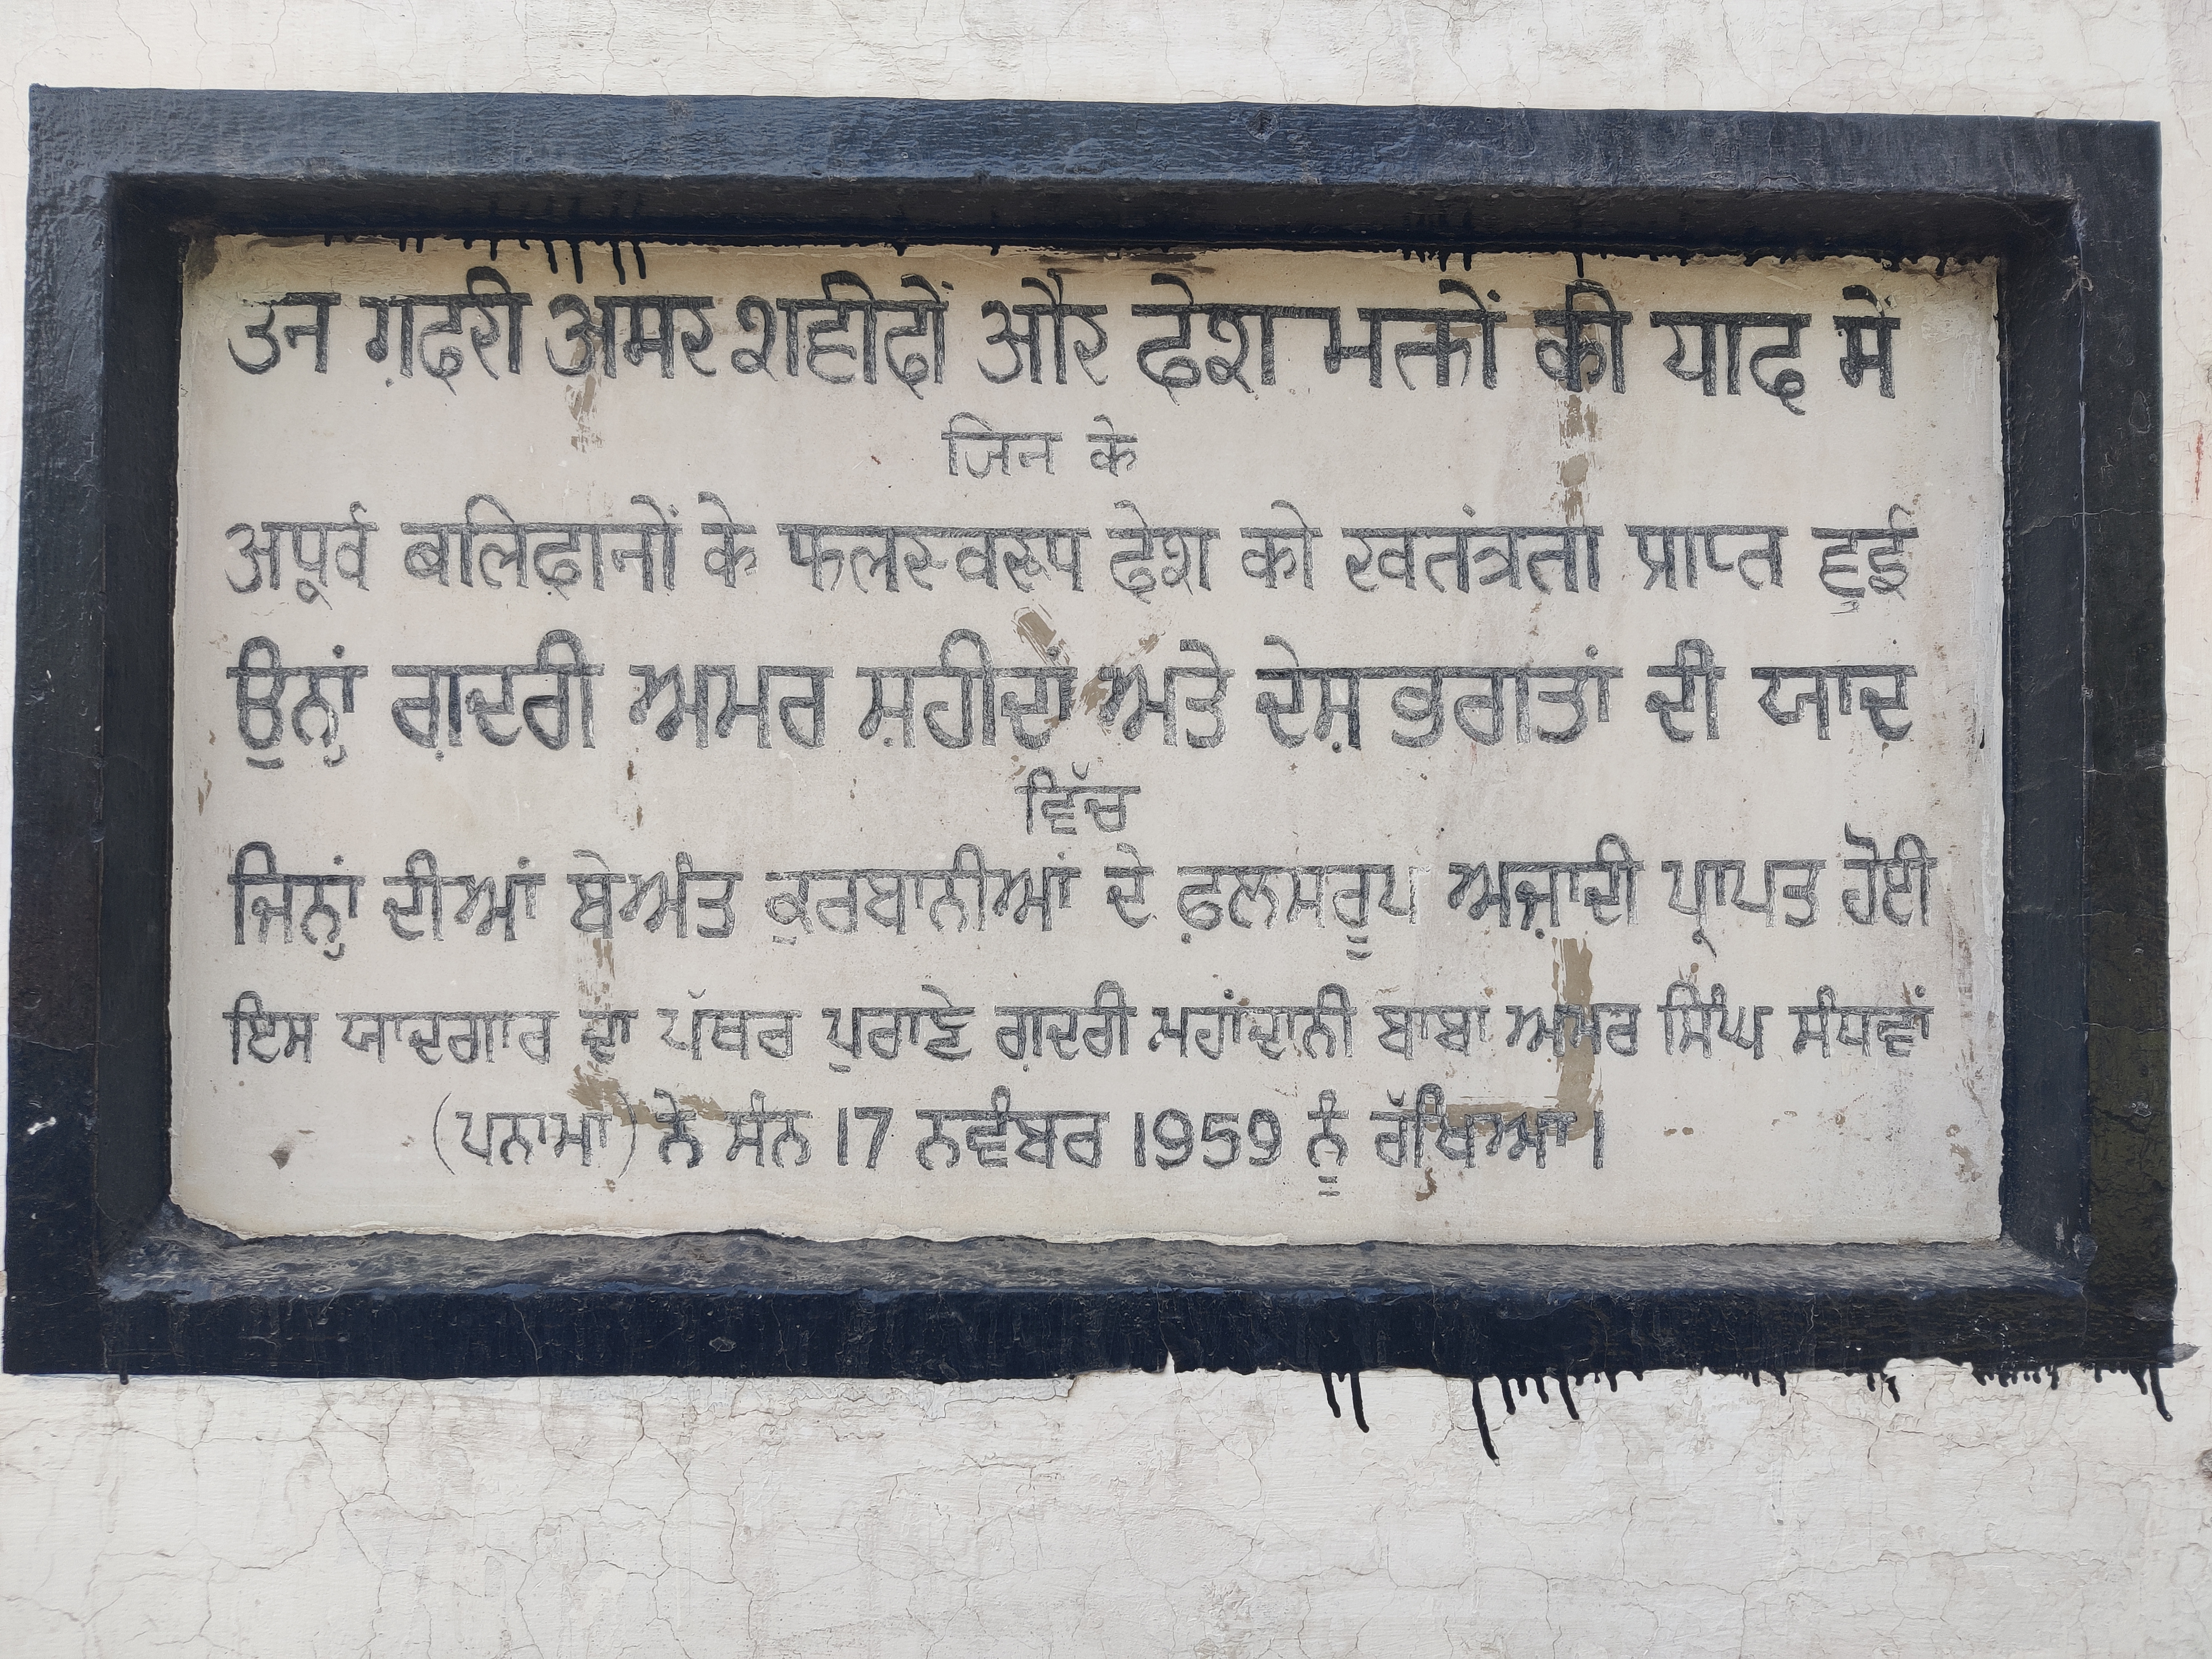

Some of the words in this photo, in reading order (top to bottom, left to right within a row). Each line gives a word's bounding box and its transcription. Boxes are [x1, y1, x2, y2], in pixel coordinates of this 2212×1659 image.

[197, 280, 348, 393] उन
[354, 262, 536, 403] गदरी
[538, 285, 721, 393] अमर
[721, 262, 962, 404] शहीदों
[965, 263, 1121, 401] और
[1123, 263, 1515, 425] देशभक्तों
[1526, 269, 1641, 415] की
[1642, 303, 1819, 427] याद
[1823, 278, 1906, 415] ਸੇਂ
[935, 405, 1067, 488] जिन
[1077, 409, 1147, 486] के
[210, 492, 387, 617] अपूर्व
[394, 486, 699, 613] बलिदानों
[687, 484, 775, 602] के
[765, 510, 1100, 611] फलस्वरूप
[1100, 495, 1228, 614] देश
[1234, 492, 1334, 604] को
[1337, 497, 1616, 619] स्वतंत्रता
[1621, 507, 1799, 602] प्राप्त
[1803, 497, 1927, 625] हुई
[216, 628, 381, 779] ਉਨਾੁਂ
[377, 619, 612, 774] ਗ਼ਦਰੀ
[618, 650, 843, 763] ਅਮਰ
[847, 620, 1084, 764] ਸ਼ਹੀਦਾਂ
[1089, 632, 1246, 764] ਅਤੇ
[1244, 627, 1633, 770] ਦੇਸ਼ਭਗਤਾਂ
[1635, 632, 1736, 760] ਦੀ
[1744, 654, 1929, 757] ਯਾਦ
[1008, 755, 1147, 842] ਵਿੱਚ
[214, 827, 379, 967] ਜਿਨ੍ਹਾਂ
[369, 839, 555, 960] ਦੀਆ
[559, 832, 749, 958] ਬੇਅੰਤ
[755, 839, 1088, 953] ਕੁਰਬਾਨੀਆਂ
[1086, 838, 1169, 940] ਦੇ
[1171, 857, 1443, 967] ਫ਼ਲਸਰੂਪ
[1441, 824, 1666, 948] ਅਜ਼ਾਦੀ
[1653, 849, 1836, 967] ਪ੍ਰਾਪਤ
[1824, 812, 1942, 942] ਹੋਈ
[221, 990, 328, 1078] ਇਸ
[328, 1002, 566, 1077] ਯਾਦਗਾਰ
[569, 997, 649, 1078] ਦਾ
[650, 983, 811, 1073] ਪੱਥਰ
[812, 968, 982, 1077] ਪੁਰਾਣੇ
[983, 972, 1142, 1075] ਗਦਰੀ
[1142, 978, 1360, 1071] ਮਹਾਂਦਾਨੀ
[1366, 998, 1497, 1066] ਬਾਬਾ
[1498, 988, 1646, 1063] ਅਮਰ
[1648, 971, 1781, 1073] ਸਿੰਘ
[1779, 980, 1942, 1073] ਸੰਧਵਾਂ
[446, 1105, 620, 1174] ਪਨਾਮਾ
[641, 1078, 713, 1173] ਨੇ
[714, 1085, 822, 1183] ਸੰਨ
[825, 1098, 903, 1177] 17
[898, 1078, 1116, 1182] ਨਵੰਬਰ
[1119, 1095, 1289, 1179] 1959
[1291, 1081, 1357, 1204] ਨੂੰ
[1364, 1074, 1587, 1177] ਰੱਖਿਆ